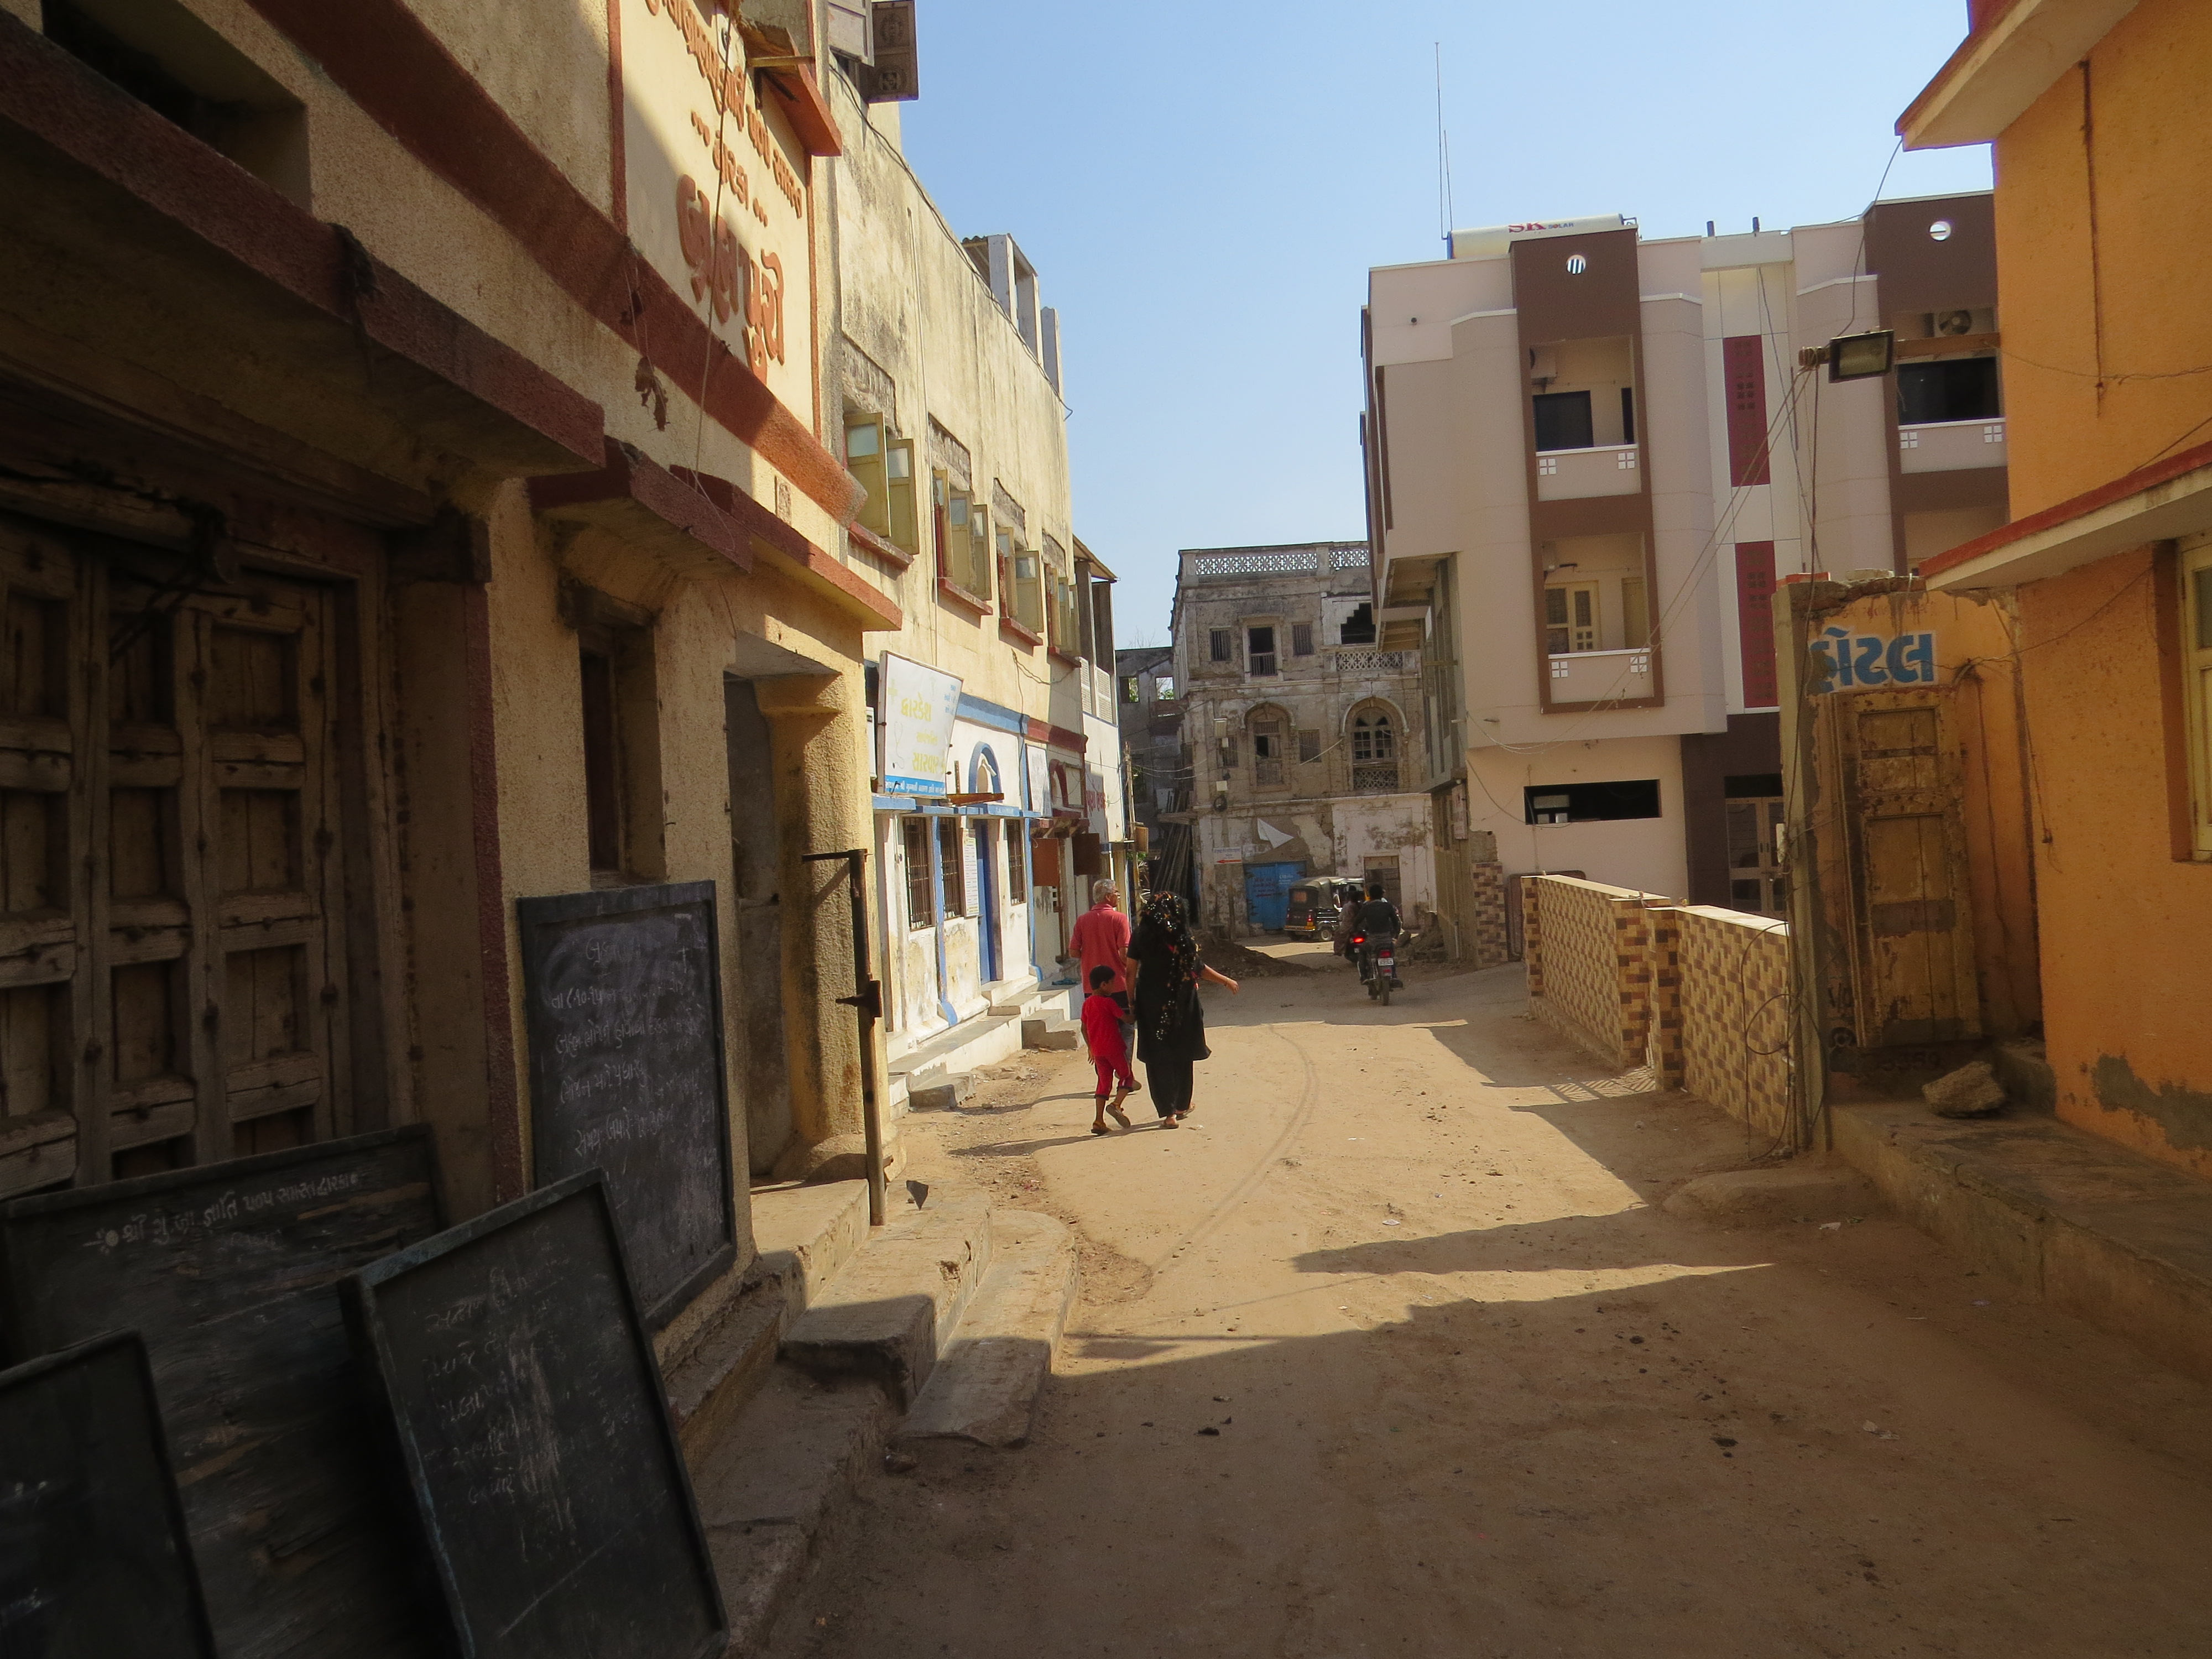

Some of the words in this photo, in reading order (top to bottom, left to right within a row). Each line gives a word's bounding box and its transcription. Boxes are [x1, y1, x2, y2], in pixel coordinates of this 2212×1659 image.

[661, 167, 793, 388] લહ્મપુરી
[1806, 622, 1945, 696] હોટલ